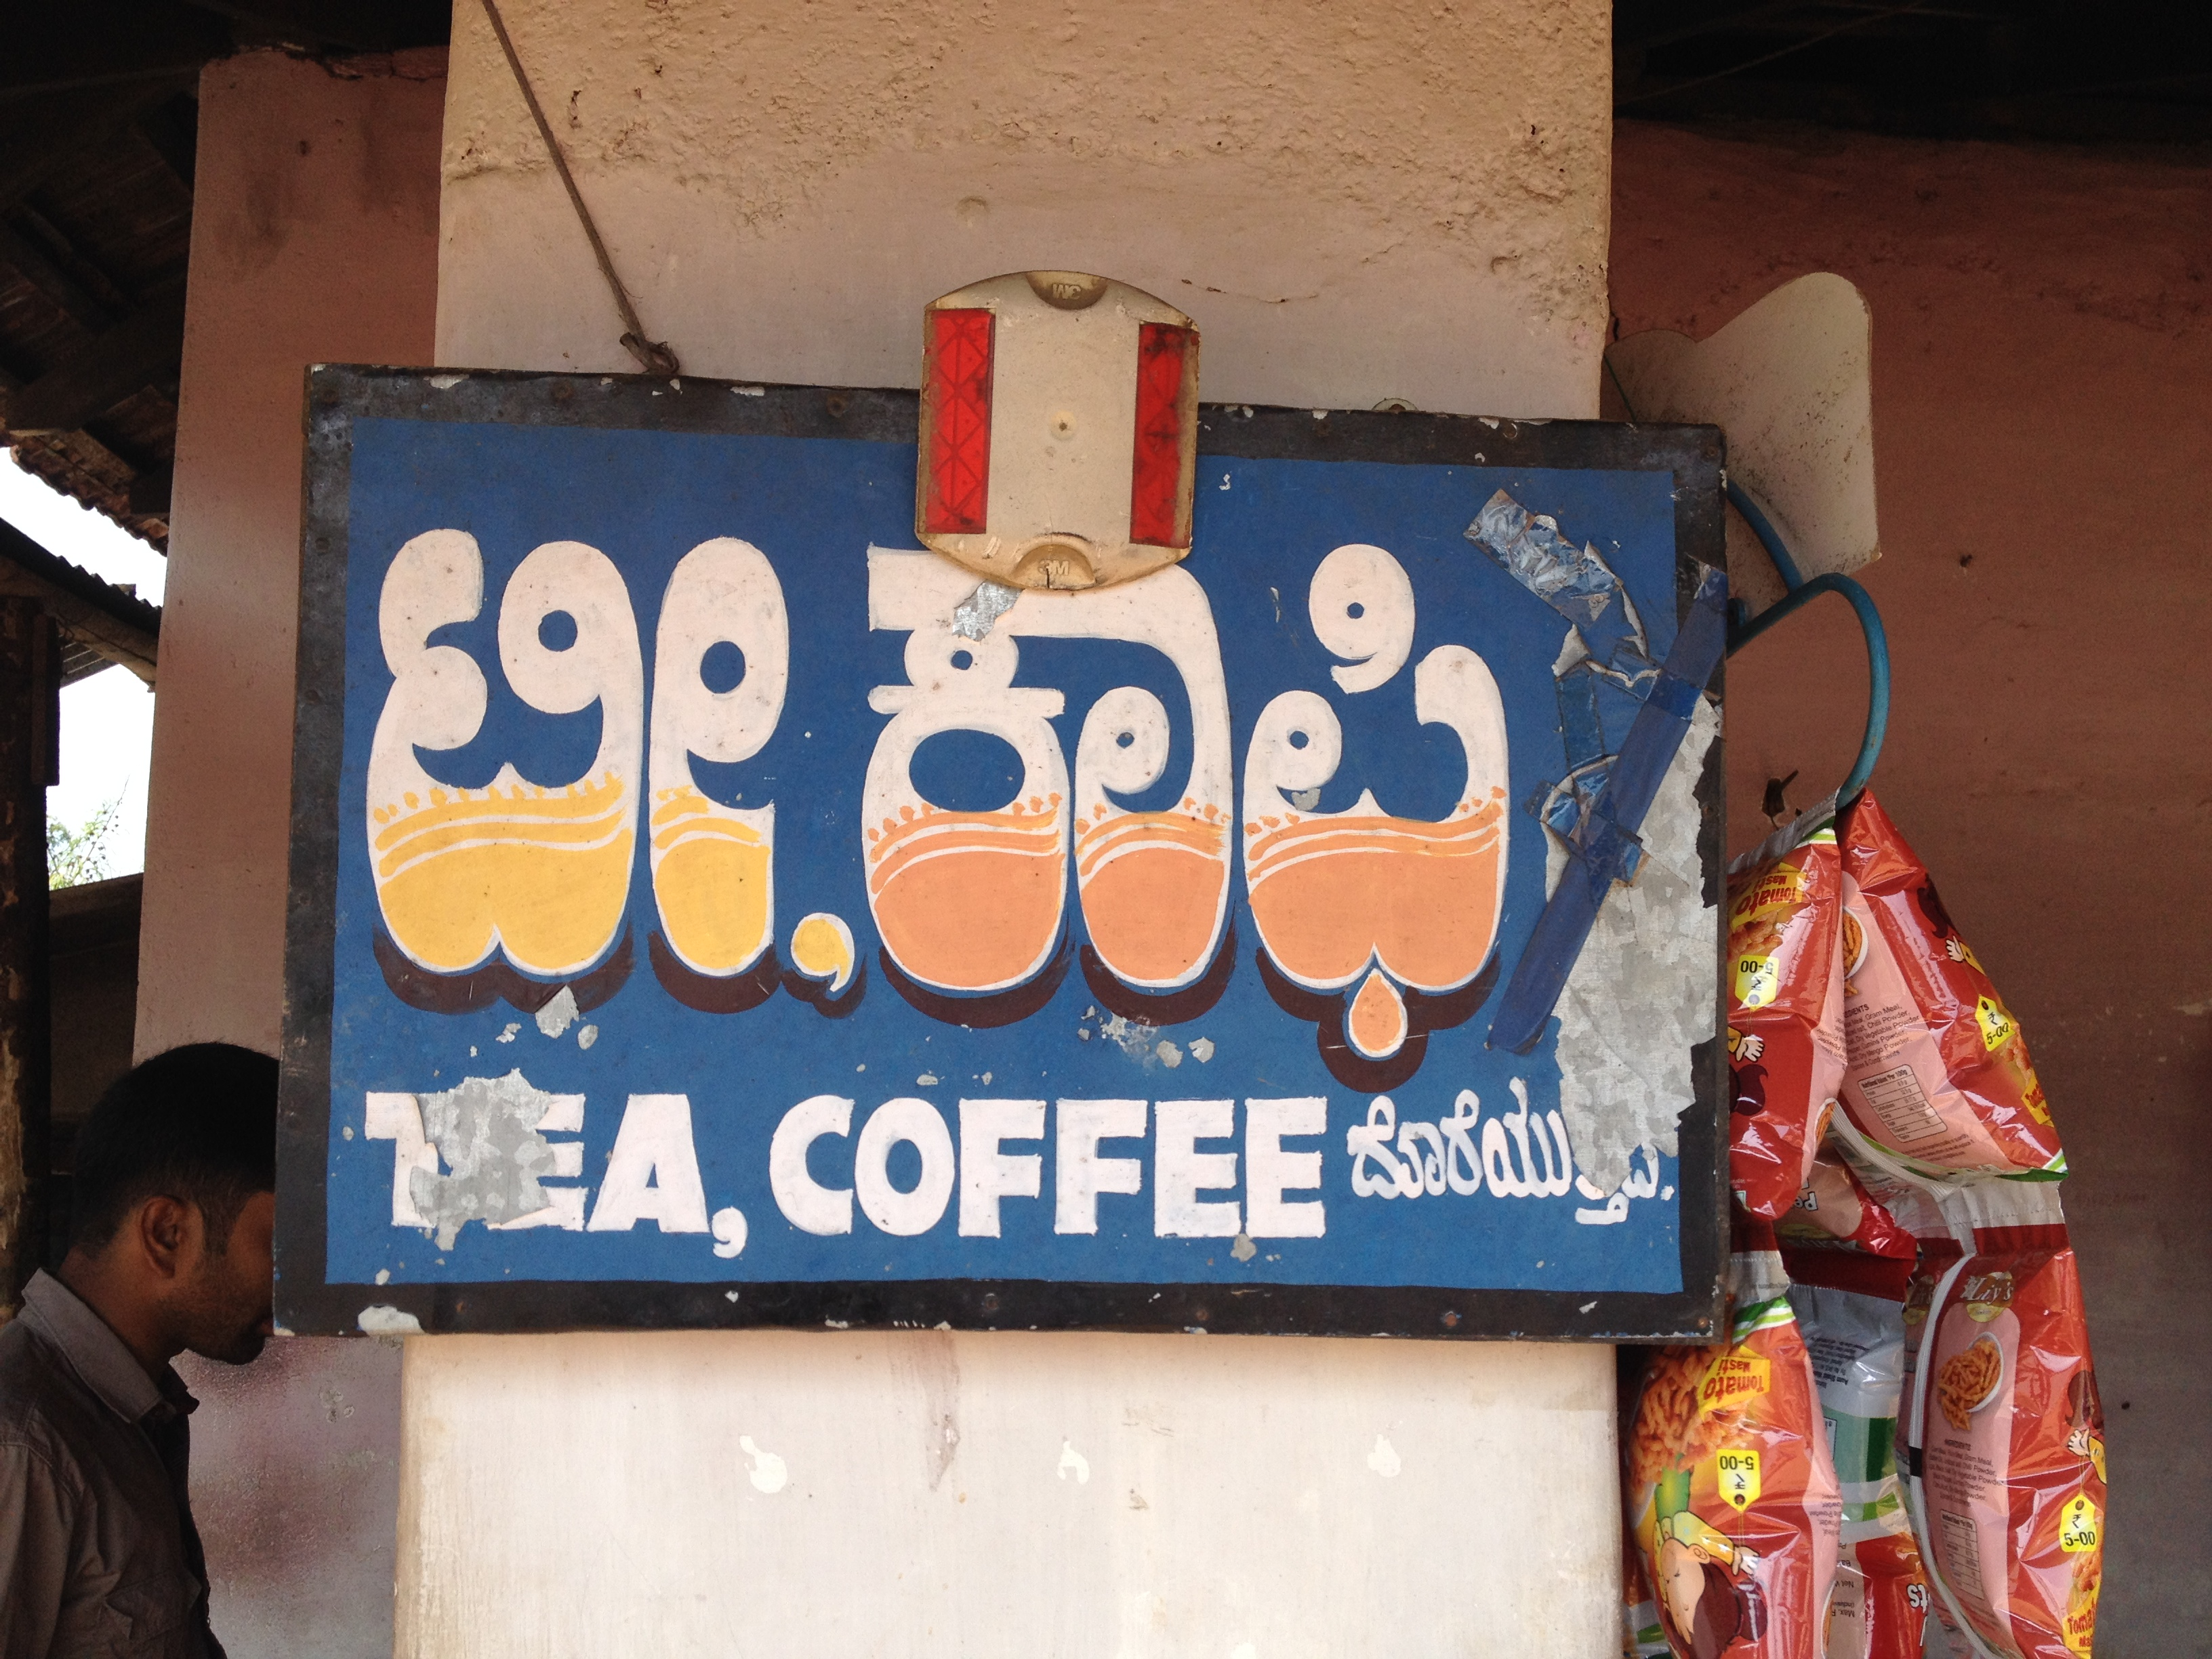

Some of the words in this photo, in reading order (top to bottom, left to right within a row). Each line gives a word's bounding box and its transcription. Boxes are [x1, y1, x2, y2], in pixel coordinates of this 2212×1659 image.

[331, 522, 1532, 1069] ಟೀ.ಕಾಫಿ
[347, 1082, 717, 1243] A
[752, 1083, 1336, 1247] COFFEE
[1340, 1082, 1585, 1212] ದೊರೆಯು